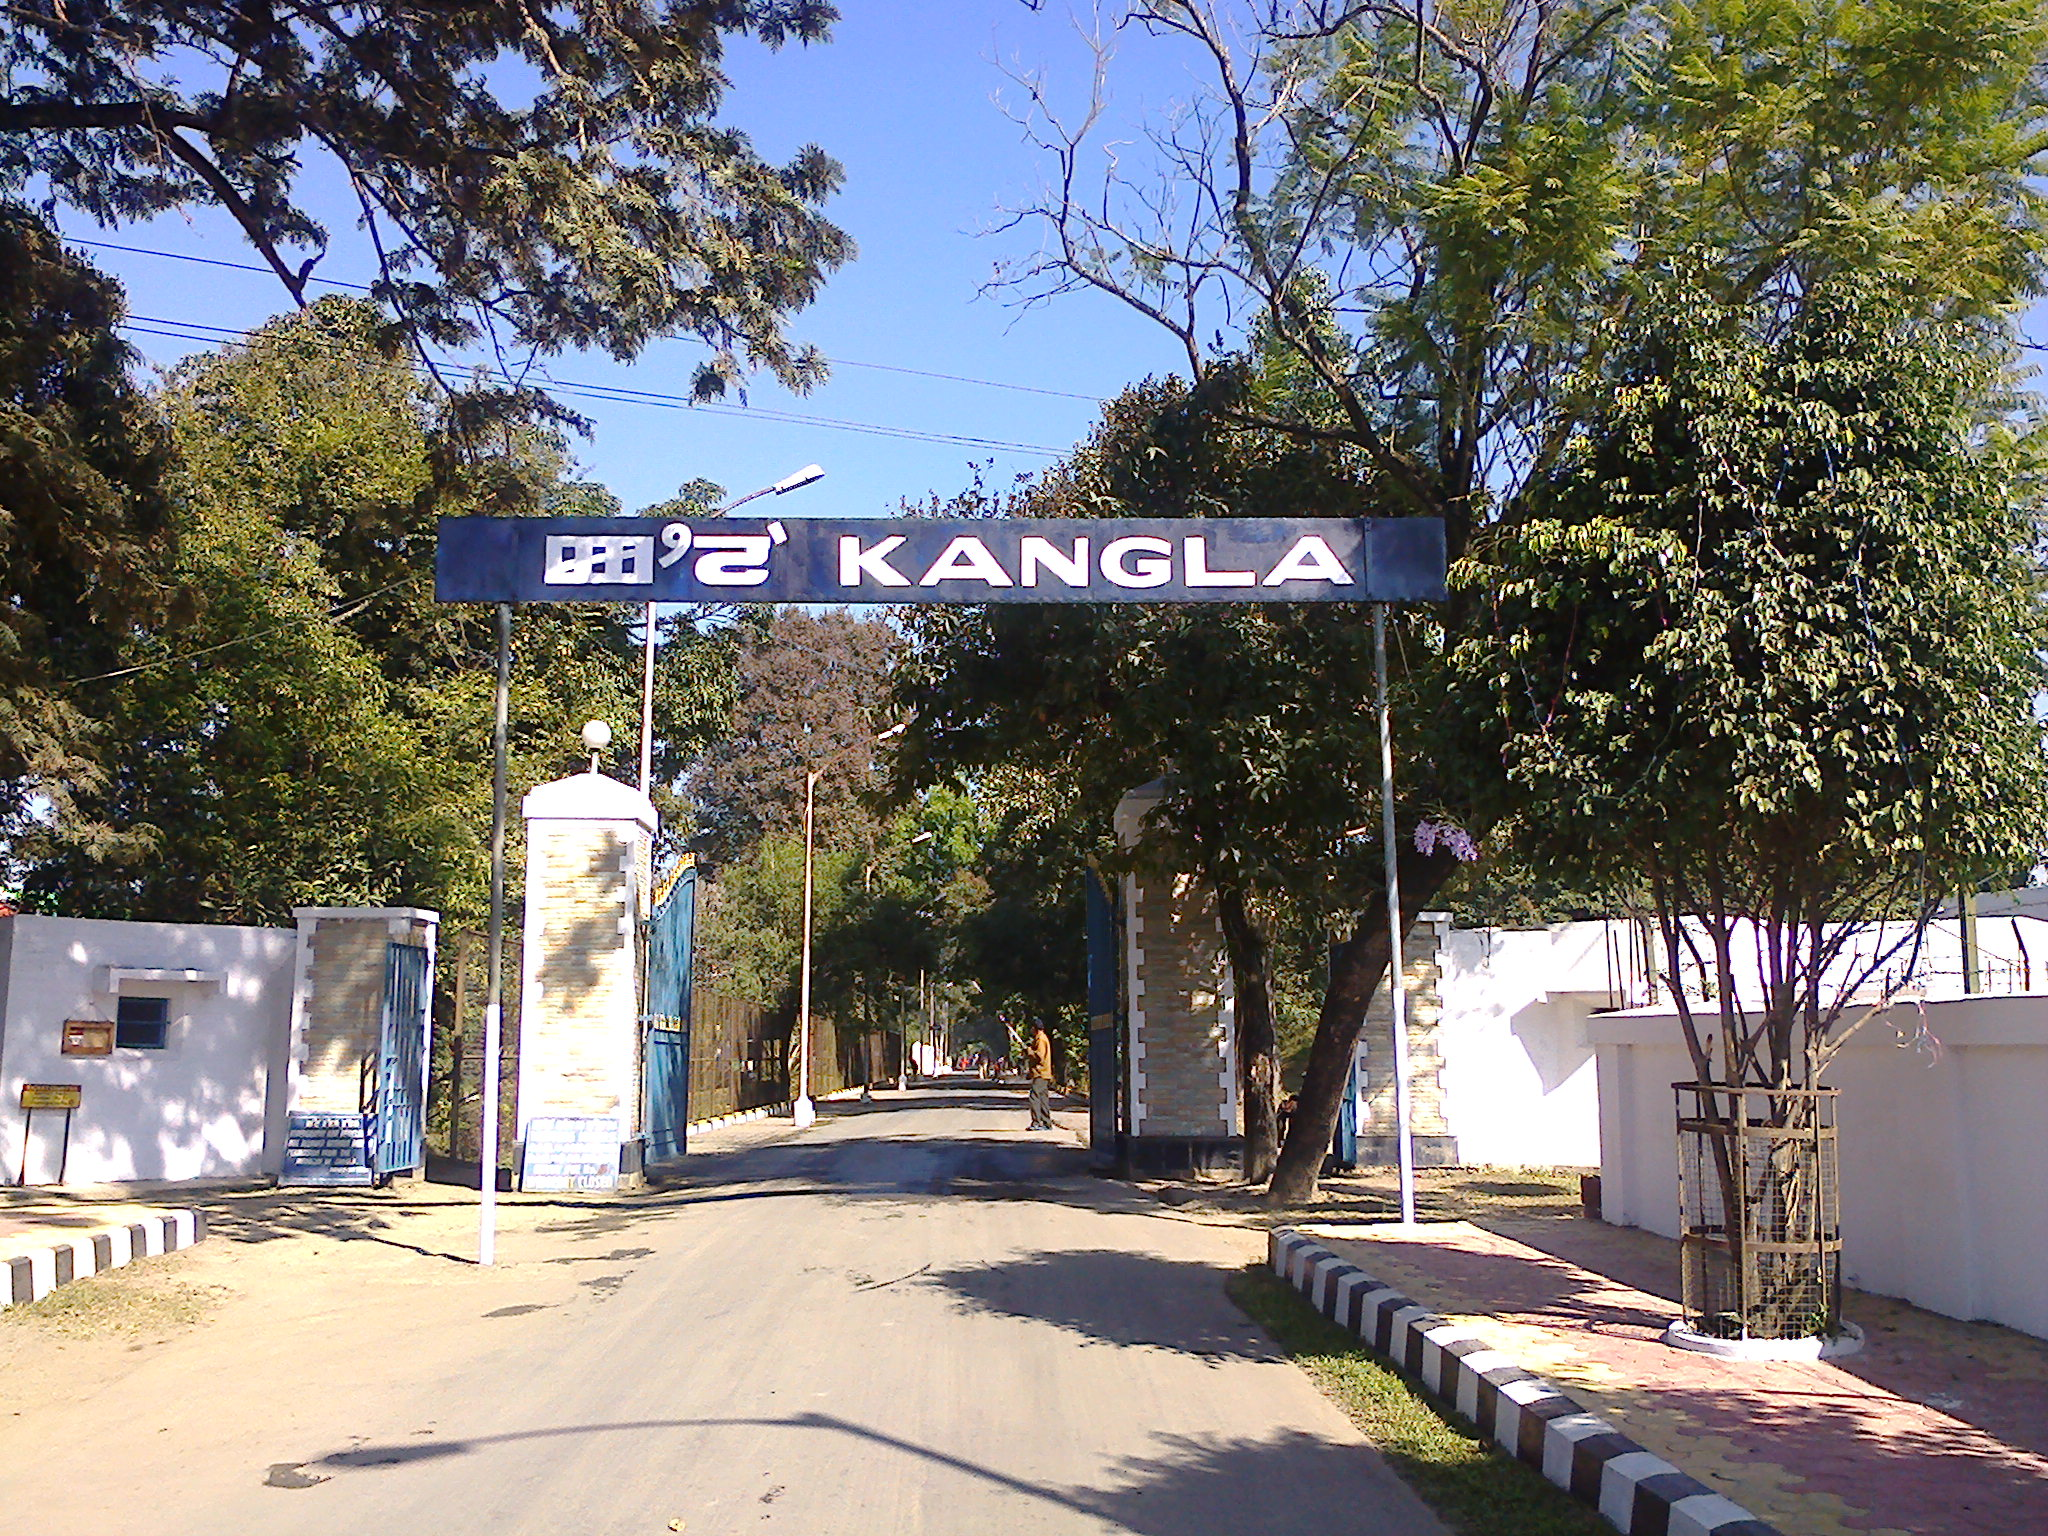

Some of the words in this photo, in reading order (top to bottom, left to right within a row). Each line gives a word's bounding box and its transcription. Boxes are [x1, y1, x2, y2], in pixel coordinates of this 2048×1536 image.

[539, 512, 794, 591] ꯀꯪꯂꯥ
[833, 523, 1362, 592] KANGLA